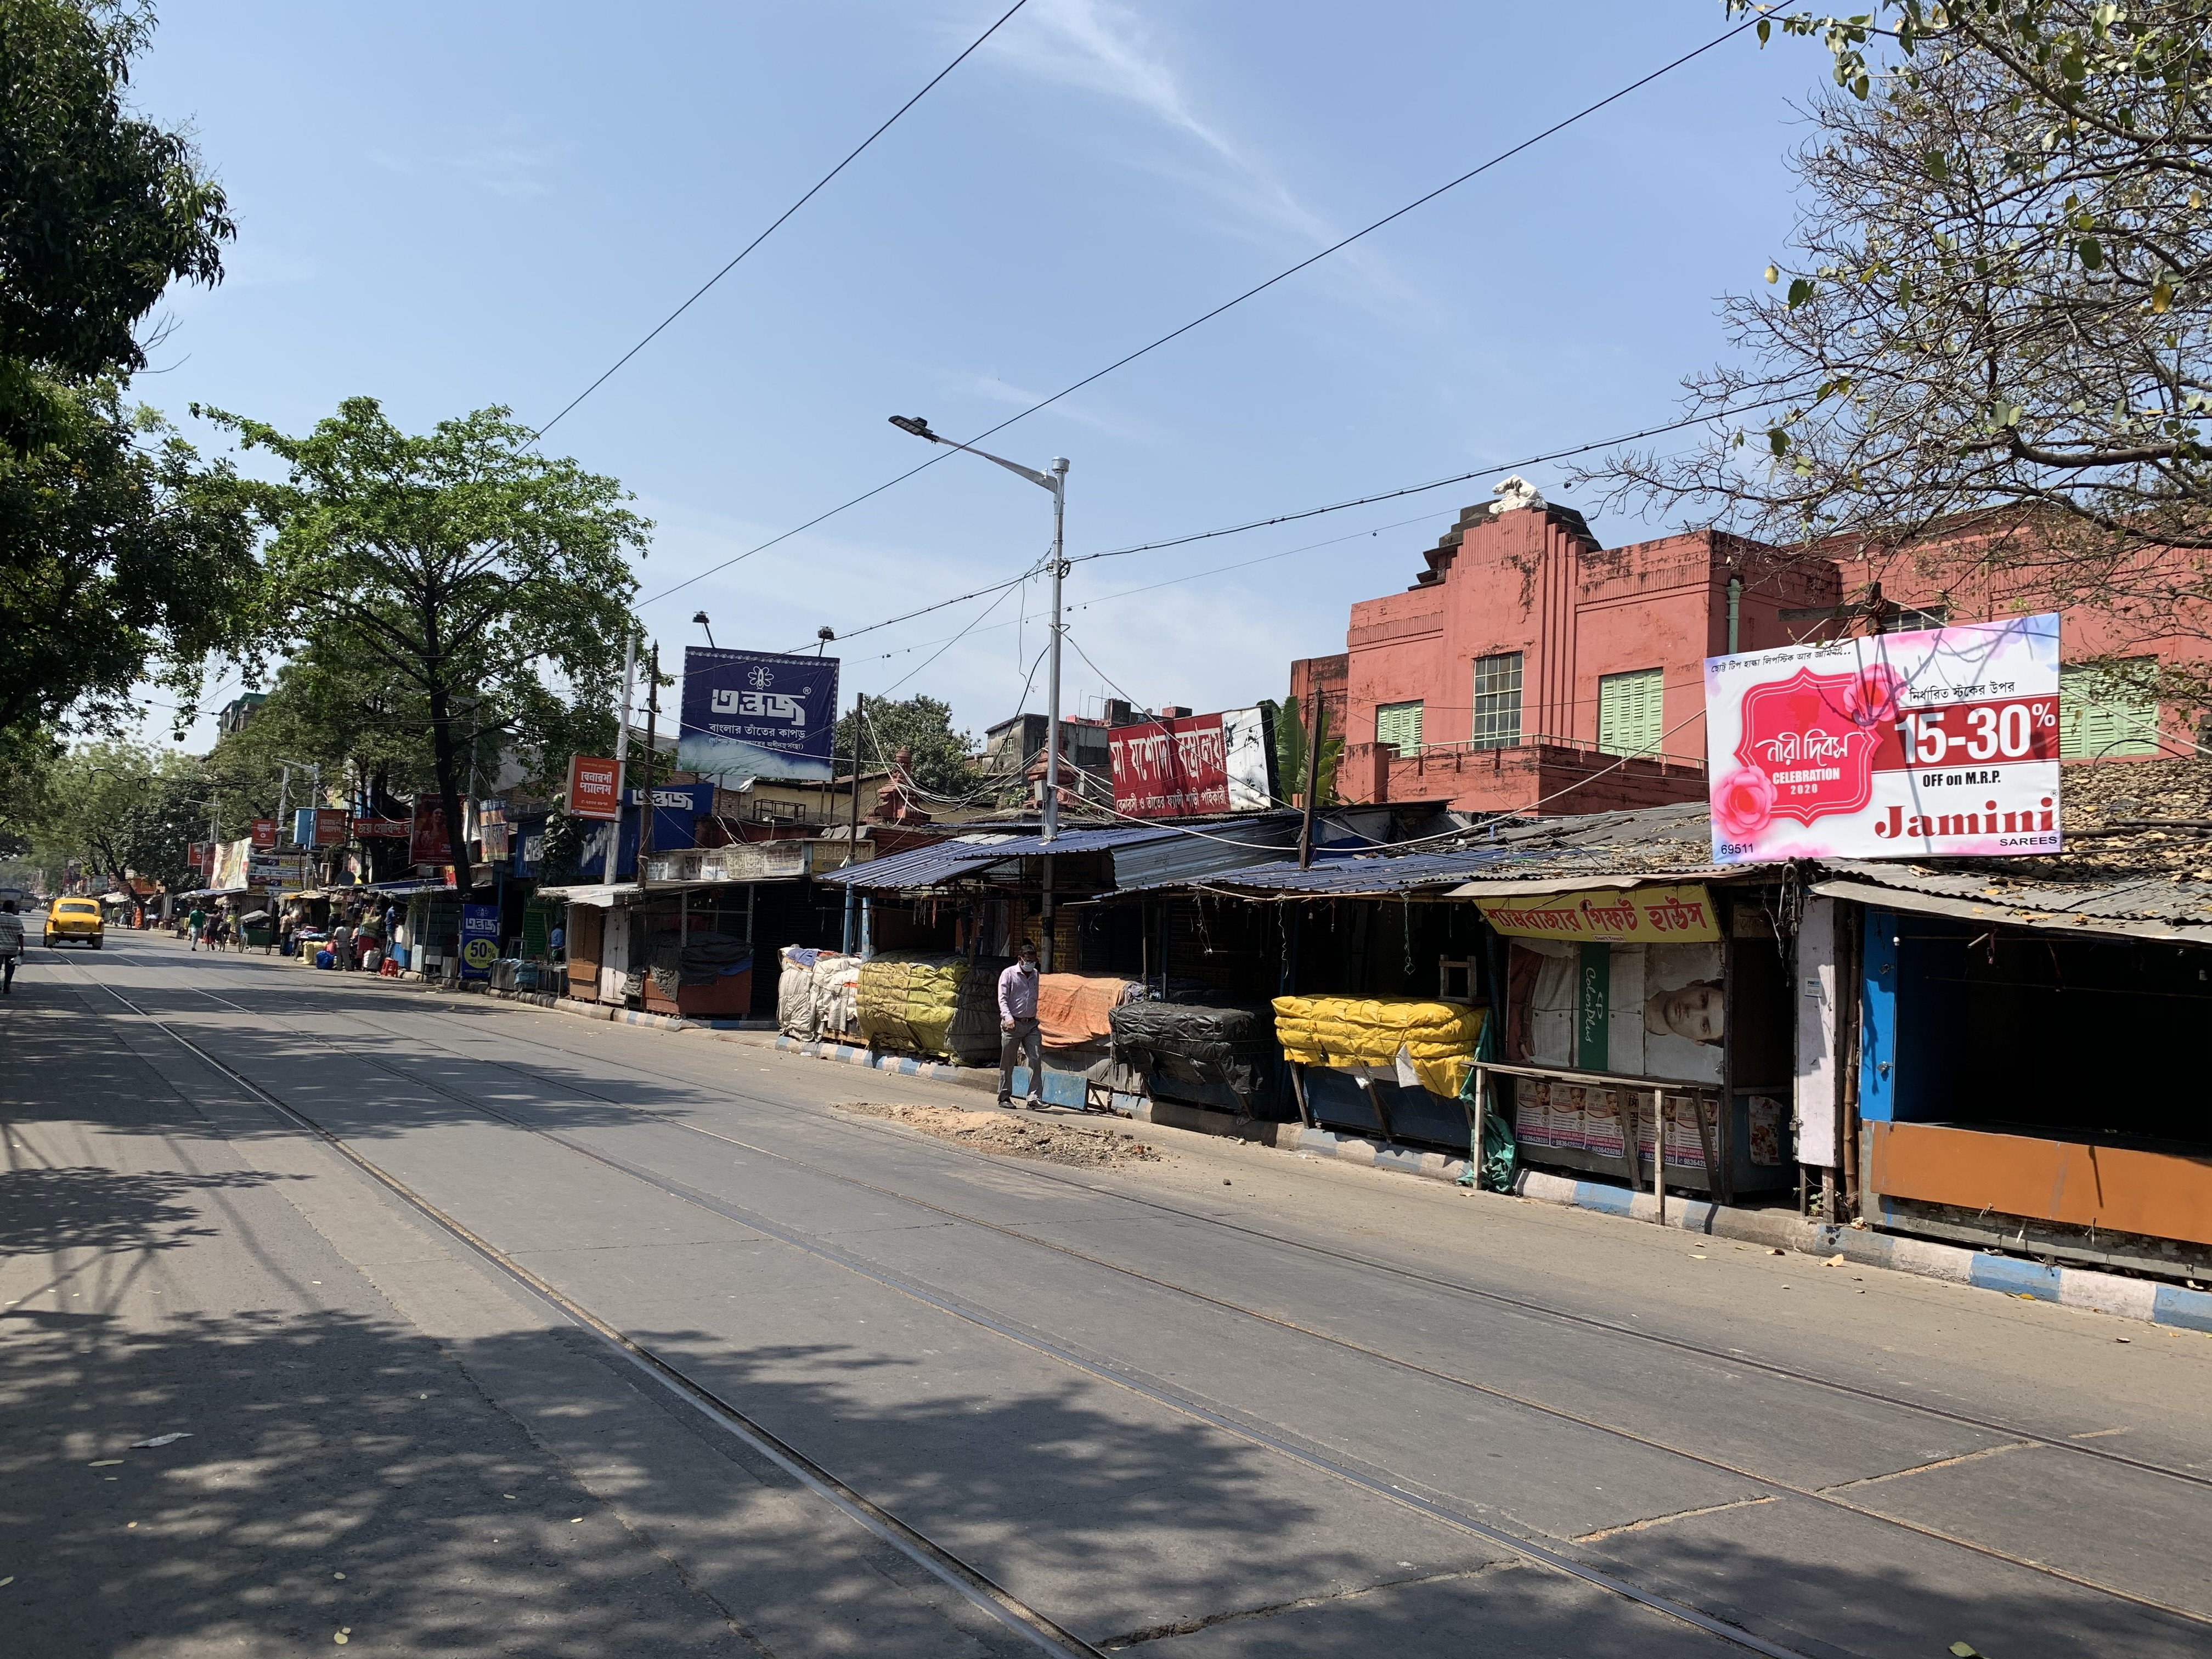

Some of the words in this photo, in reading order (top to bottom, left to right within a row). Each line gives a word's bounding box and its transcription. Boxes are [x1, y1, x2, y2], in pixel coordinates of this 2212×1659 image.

[1706, 657, 1733, 675] ছোট্ট
[1723, 653, 1745, 673] টিপ
[1738, 653, 1764, 670] হাল্কা
[1758, 649, 1797, 670] লিপস্টিক
[1792, 648, 1816, 665] আর
[1809, 641, 1848, 664] জামিনী...
[1904, 681, 1953, 703] নির্ধারিত
[1950, 680, 1987, 699] স্টকের
[1984, 673, 2019, 696] উপর
[705, 716, 743, 736] বাংলার
[740, 720, 778, 738] তাঁতের
[761, 736, 804, 752] অধীনস্থ সংস্থা)
[774, 727, 809, 742] কাপড
[1102, 731, 1128, 787] মা
[1123, 726, 1176, 782] যশোদা
[1169, 724, 1227, 785] বস্ত্রালয়
[1748, 716, 1870, 769] নারী দিবস
[1890, 696, 2065, 766] 15-30%
[577, 778, 613, 799] প্যালেম
[575, 768, 616, 784] বেনারসী
[1114, 789, 1141, 816] বেনারসী
[1134, 796, 1148, 812] ও
[1141, 789, 1169, 814] তাঁতের
[1163, 785, 1188, 812] ফ্যান্সী
[1183, 784, 1203, 812] শাড়ী
[1197, 781, 1228, 810] পাইকারী
[1785, 777, 1821, 801] 2020
[1768, 765, 1841, 787] CELEBRATION
[1914, 770, 1946, 789] OFF
[1942, 769, 1966, 786] on
[1963, 762, 2002, 788] M.R.P.
[353, 819, 375, 837] জয়
[369, 816, 404, 837] গোবিন্দ
[1870, 790, 2063, 843] Jamini
[1991, 830, 2059, 850] SAREES
[454, 916, 501, 938] এড
[1478, 902, 1584, 937] শ্যামবাজার
[1572, 890, 1641, 933] গিফট
[1638, 889, 1712, 933] হাউস